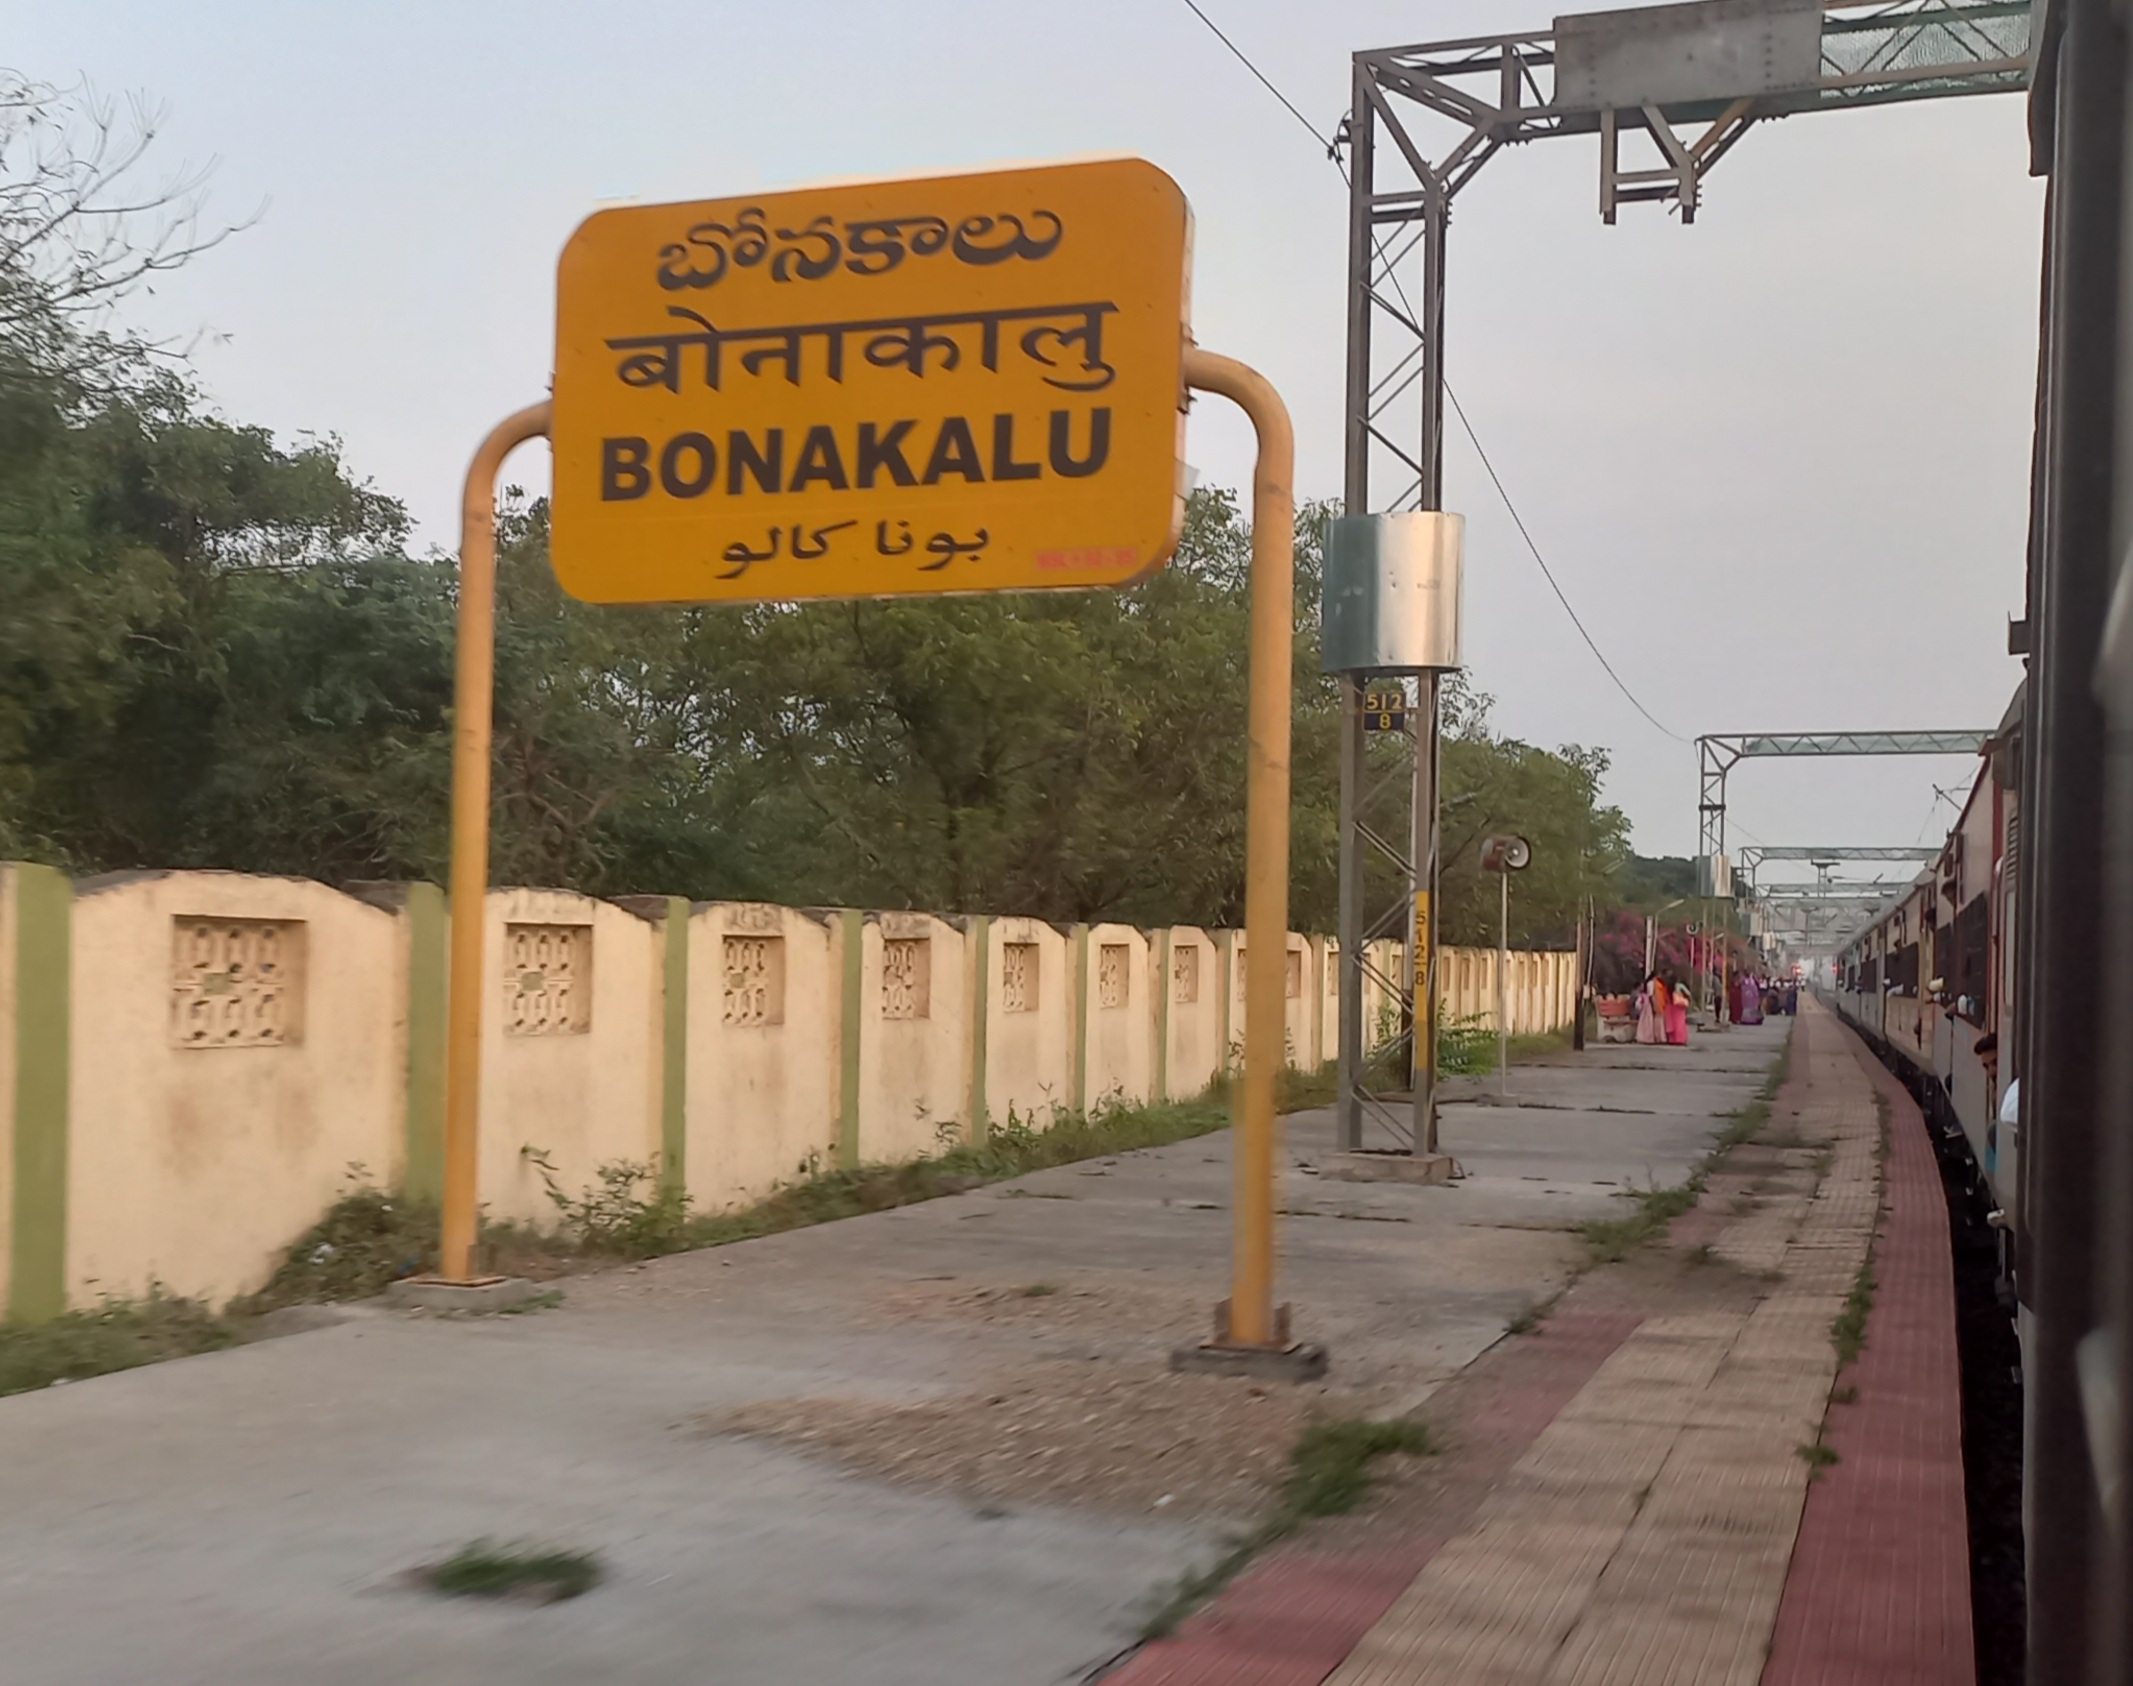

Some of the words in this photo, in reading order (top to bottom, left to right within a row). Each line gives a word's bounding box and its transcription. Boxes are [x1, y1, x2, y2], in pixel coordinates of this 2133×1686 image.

[649, 202, 1070, 299] బోనకాలు
[599, 295, 1130, 400] बोनाकालु
[597, 401, 1115, 505] BONAKALU
[706, 514, 862, 587] كالو
[871, 509, 992, 578] بونا